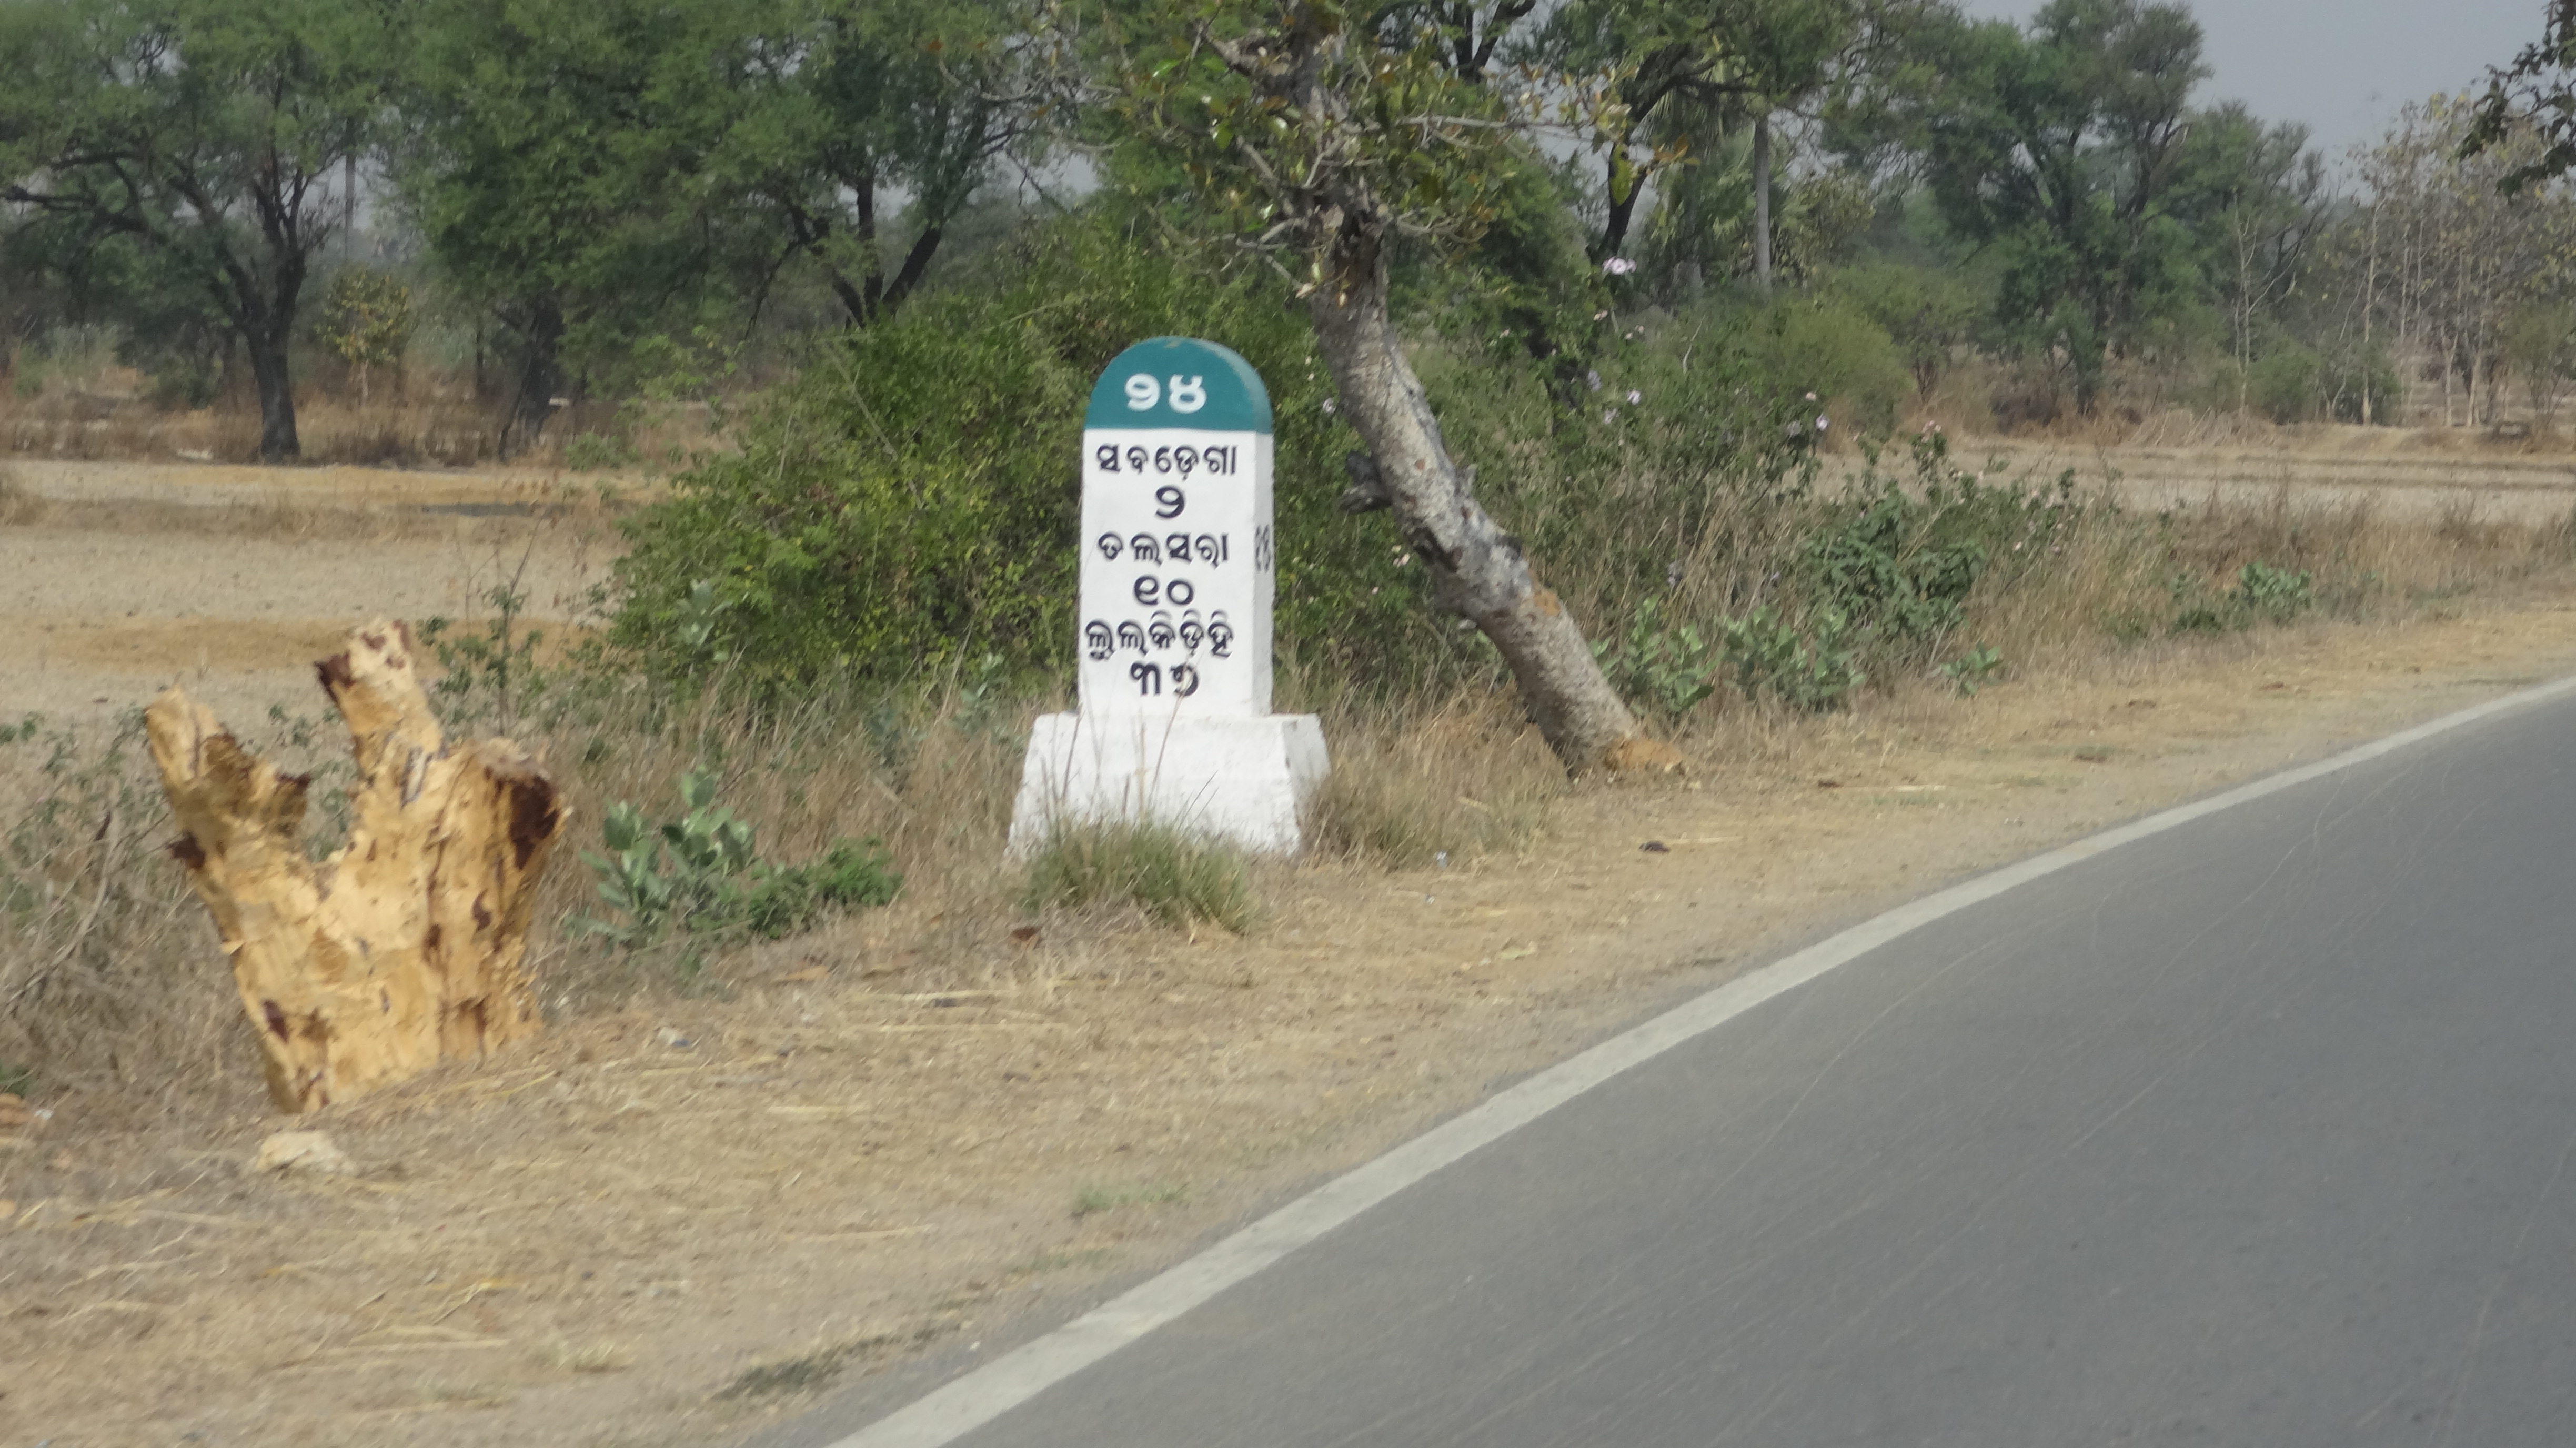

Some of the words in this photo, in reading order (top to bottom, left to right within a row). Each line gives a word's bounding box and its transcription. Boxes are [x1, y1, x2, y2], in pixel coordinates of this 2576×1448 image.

[1119, 366, 1210, 413] ୨୪
[1088, 435, 1243, 482] ସବଡ଼େଗା
[1149, 480, 1188, 527] 9
[1094, 526, 1232, 571] ତଲସରା
[1129, 569, 1198, 614] ୧୦
[1083, 602, 1238, 665] ଲୁଲକିଡ଼ିହି
[1125, 657, 1200, 702] ୩୭